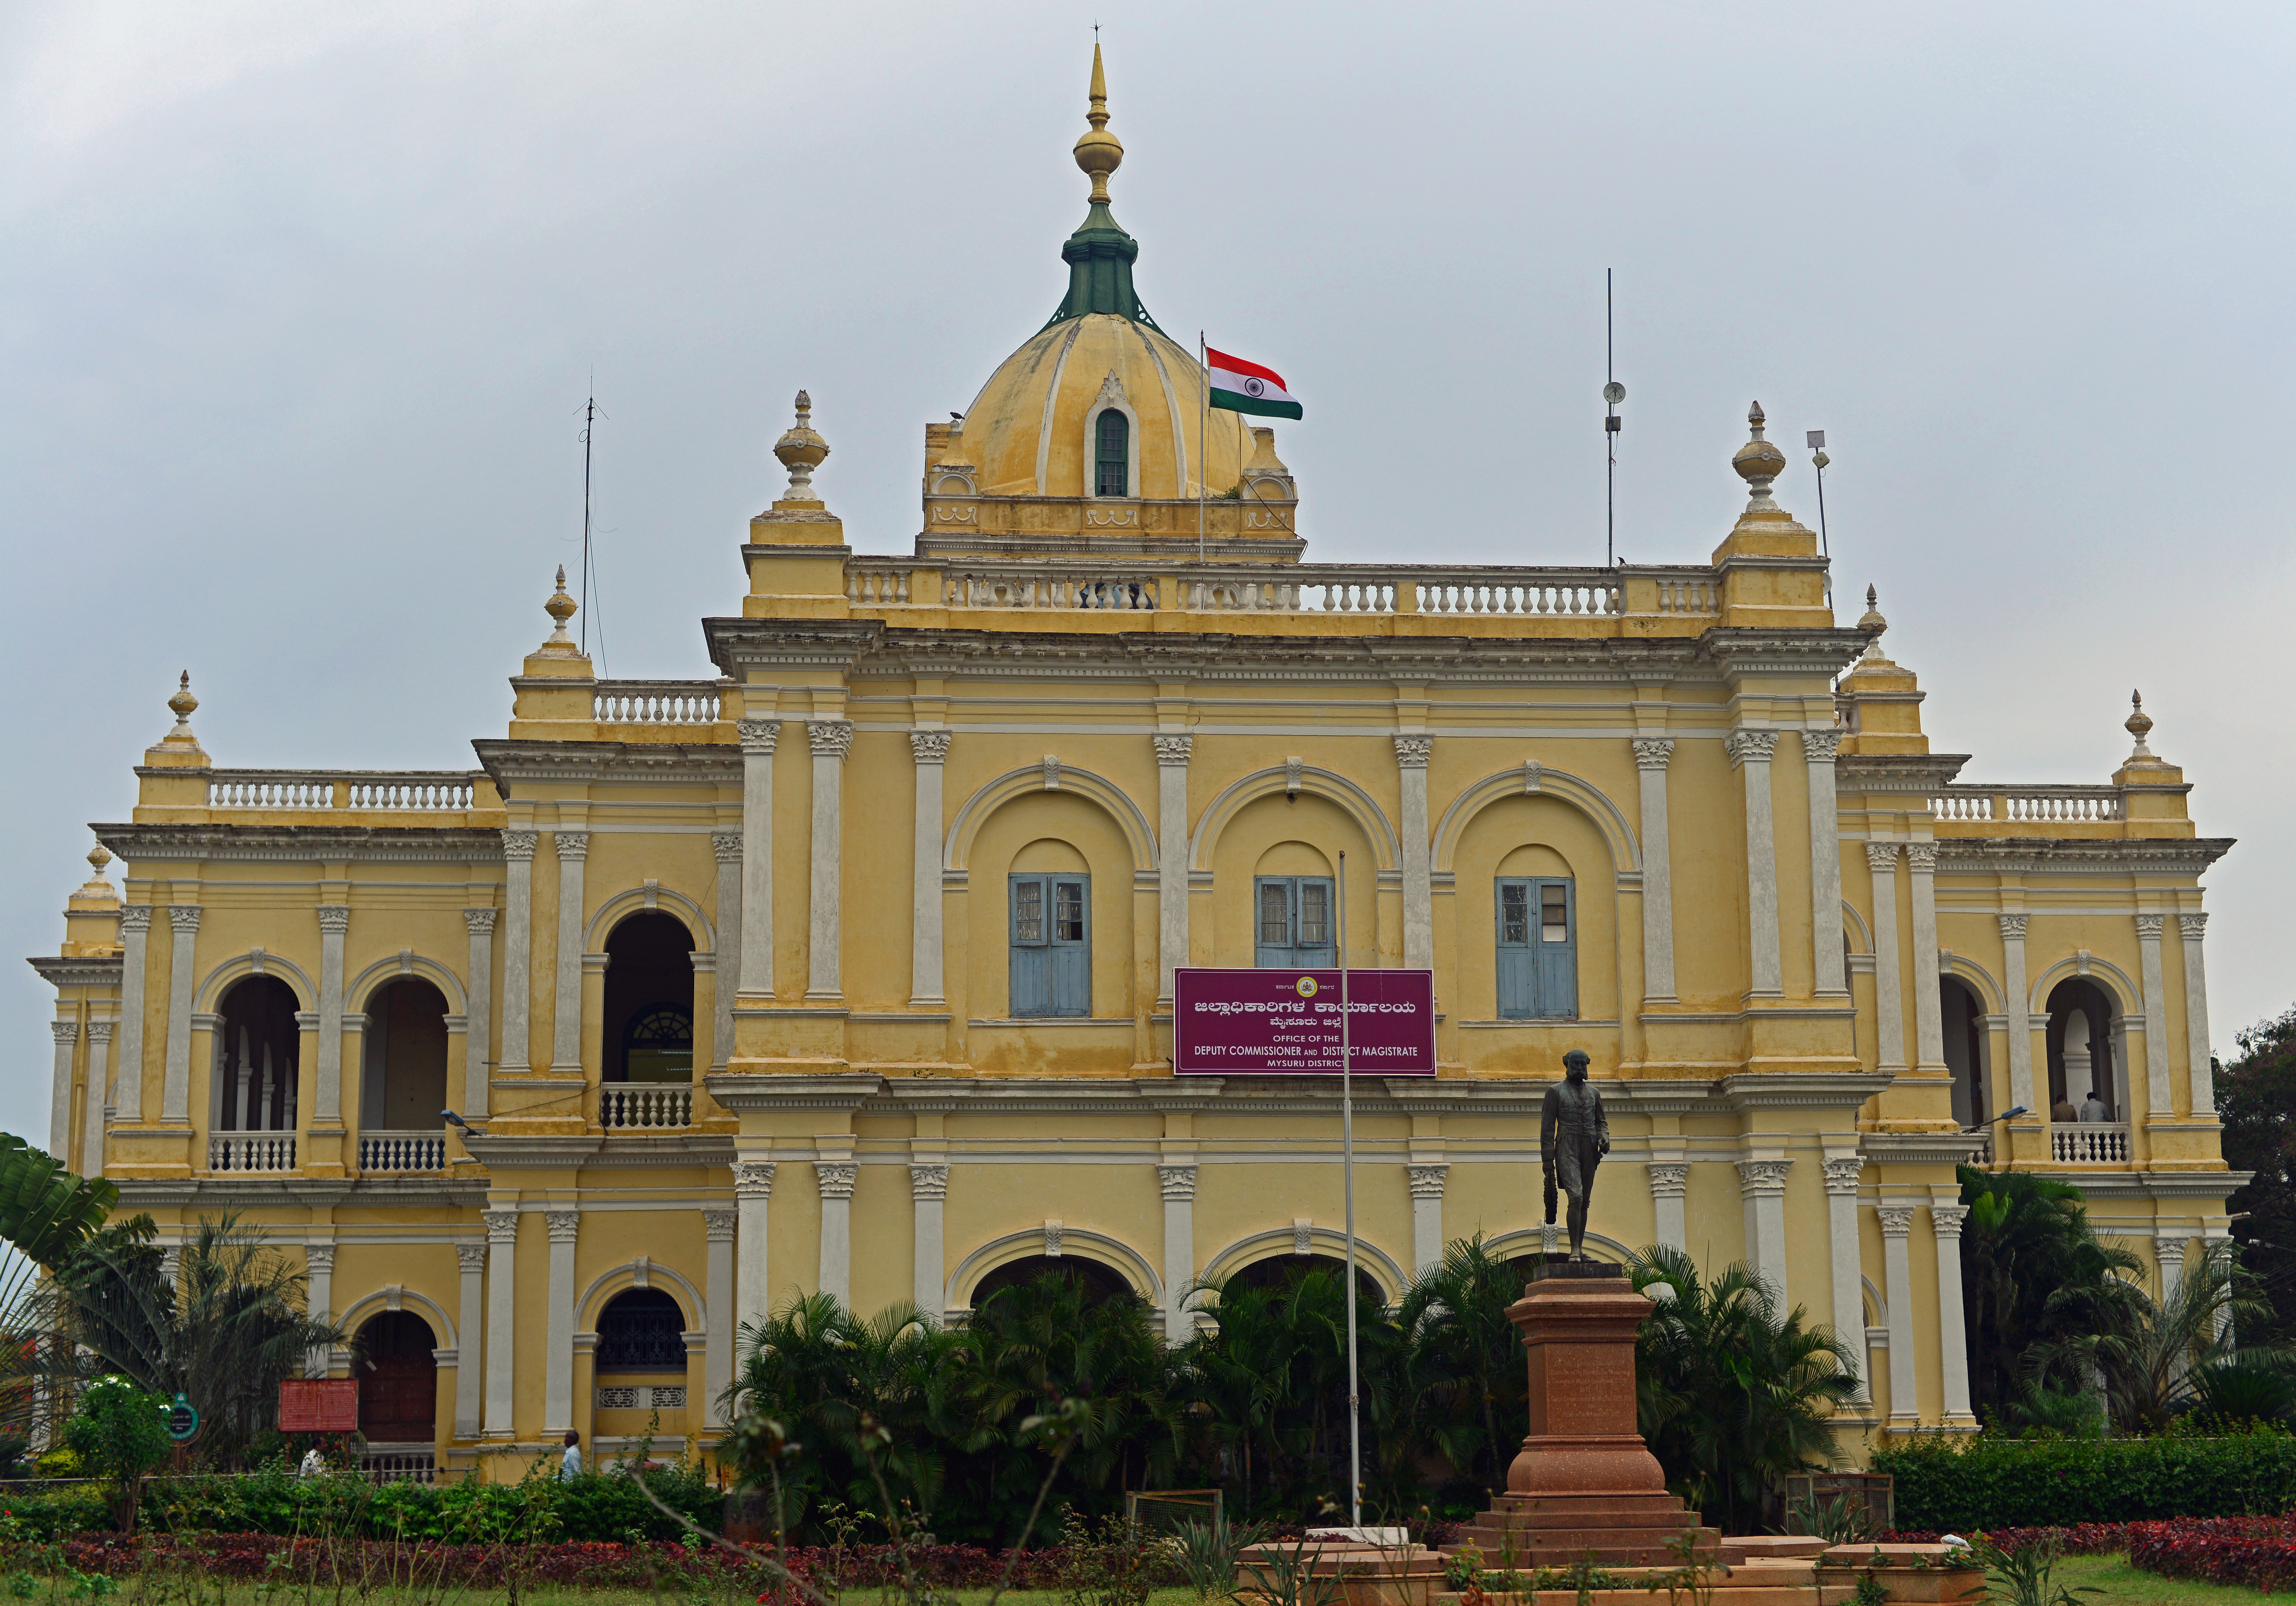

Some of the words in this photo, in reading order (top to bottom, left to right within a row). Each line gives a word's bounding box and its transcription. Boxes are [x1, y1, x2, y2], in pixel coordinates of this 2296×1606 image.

[1274, 982, 1295, 991] ಕರ್ನಾಟಕ
[1316, 983, 1335, 991] ಸರ್ಕಾರ
[1194, 998, 1306, 1018] ಜಲ್ಲಾಧಿಕಾರಗಳ
[1312, 998, 1417, 1015] ಕಾರ್ಯಾಲಯ
[1268, 1014, 1318, 1032] ಮೈಸೂರು
[1322, 1014, 1345, 1030] ಜಲ್ಲೆ
[1272, 1033, 1306, 1044] OFFICE
[1306, 1033, 1321, 1045] OF
[1322, 1034, 1340, 1045] THE
[1191, 1045, 1229, 1057] DEPUTY
[1227, 1044, 1302, 1057] COMMISSIONER
[1303, 1047, 1319, 1057] AND
[1321, 1044, 1361, 1058] DISTRICT
[1361, 1045, 1418, 1058] MAGISTRATE
[1264, 1058, 1306, 1069] MYSURU
[1306, 1058, 1347, 1069] DISTRICT